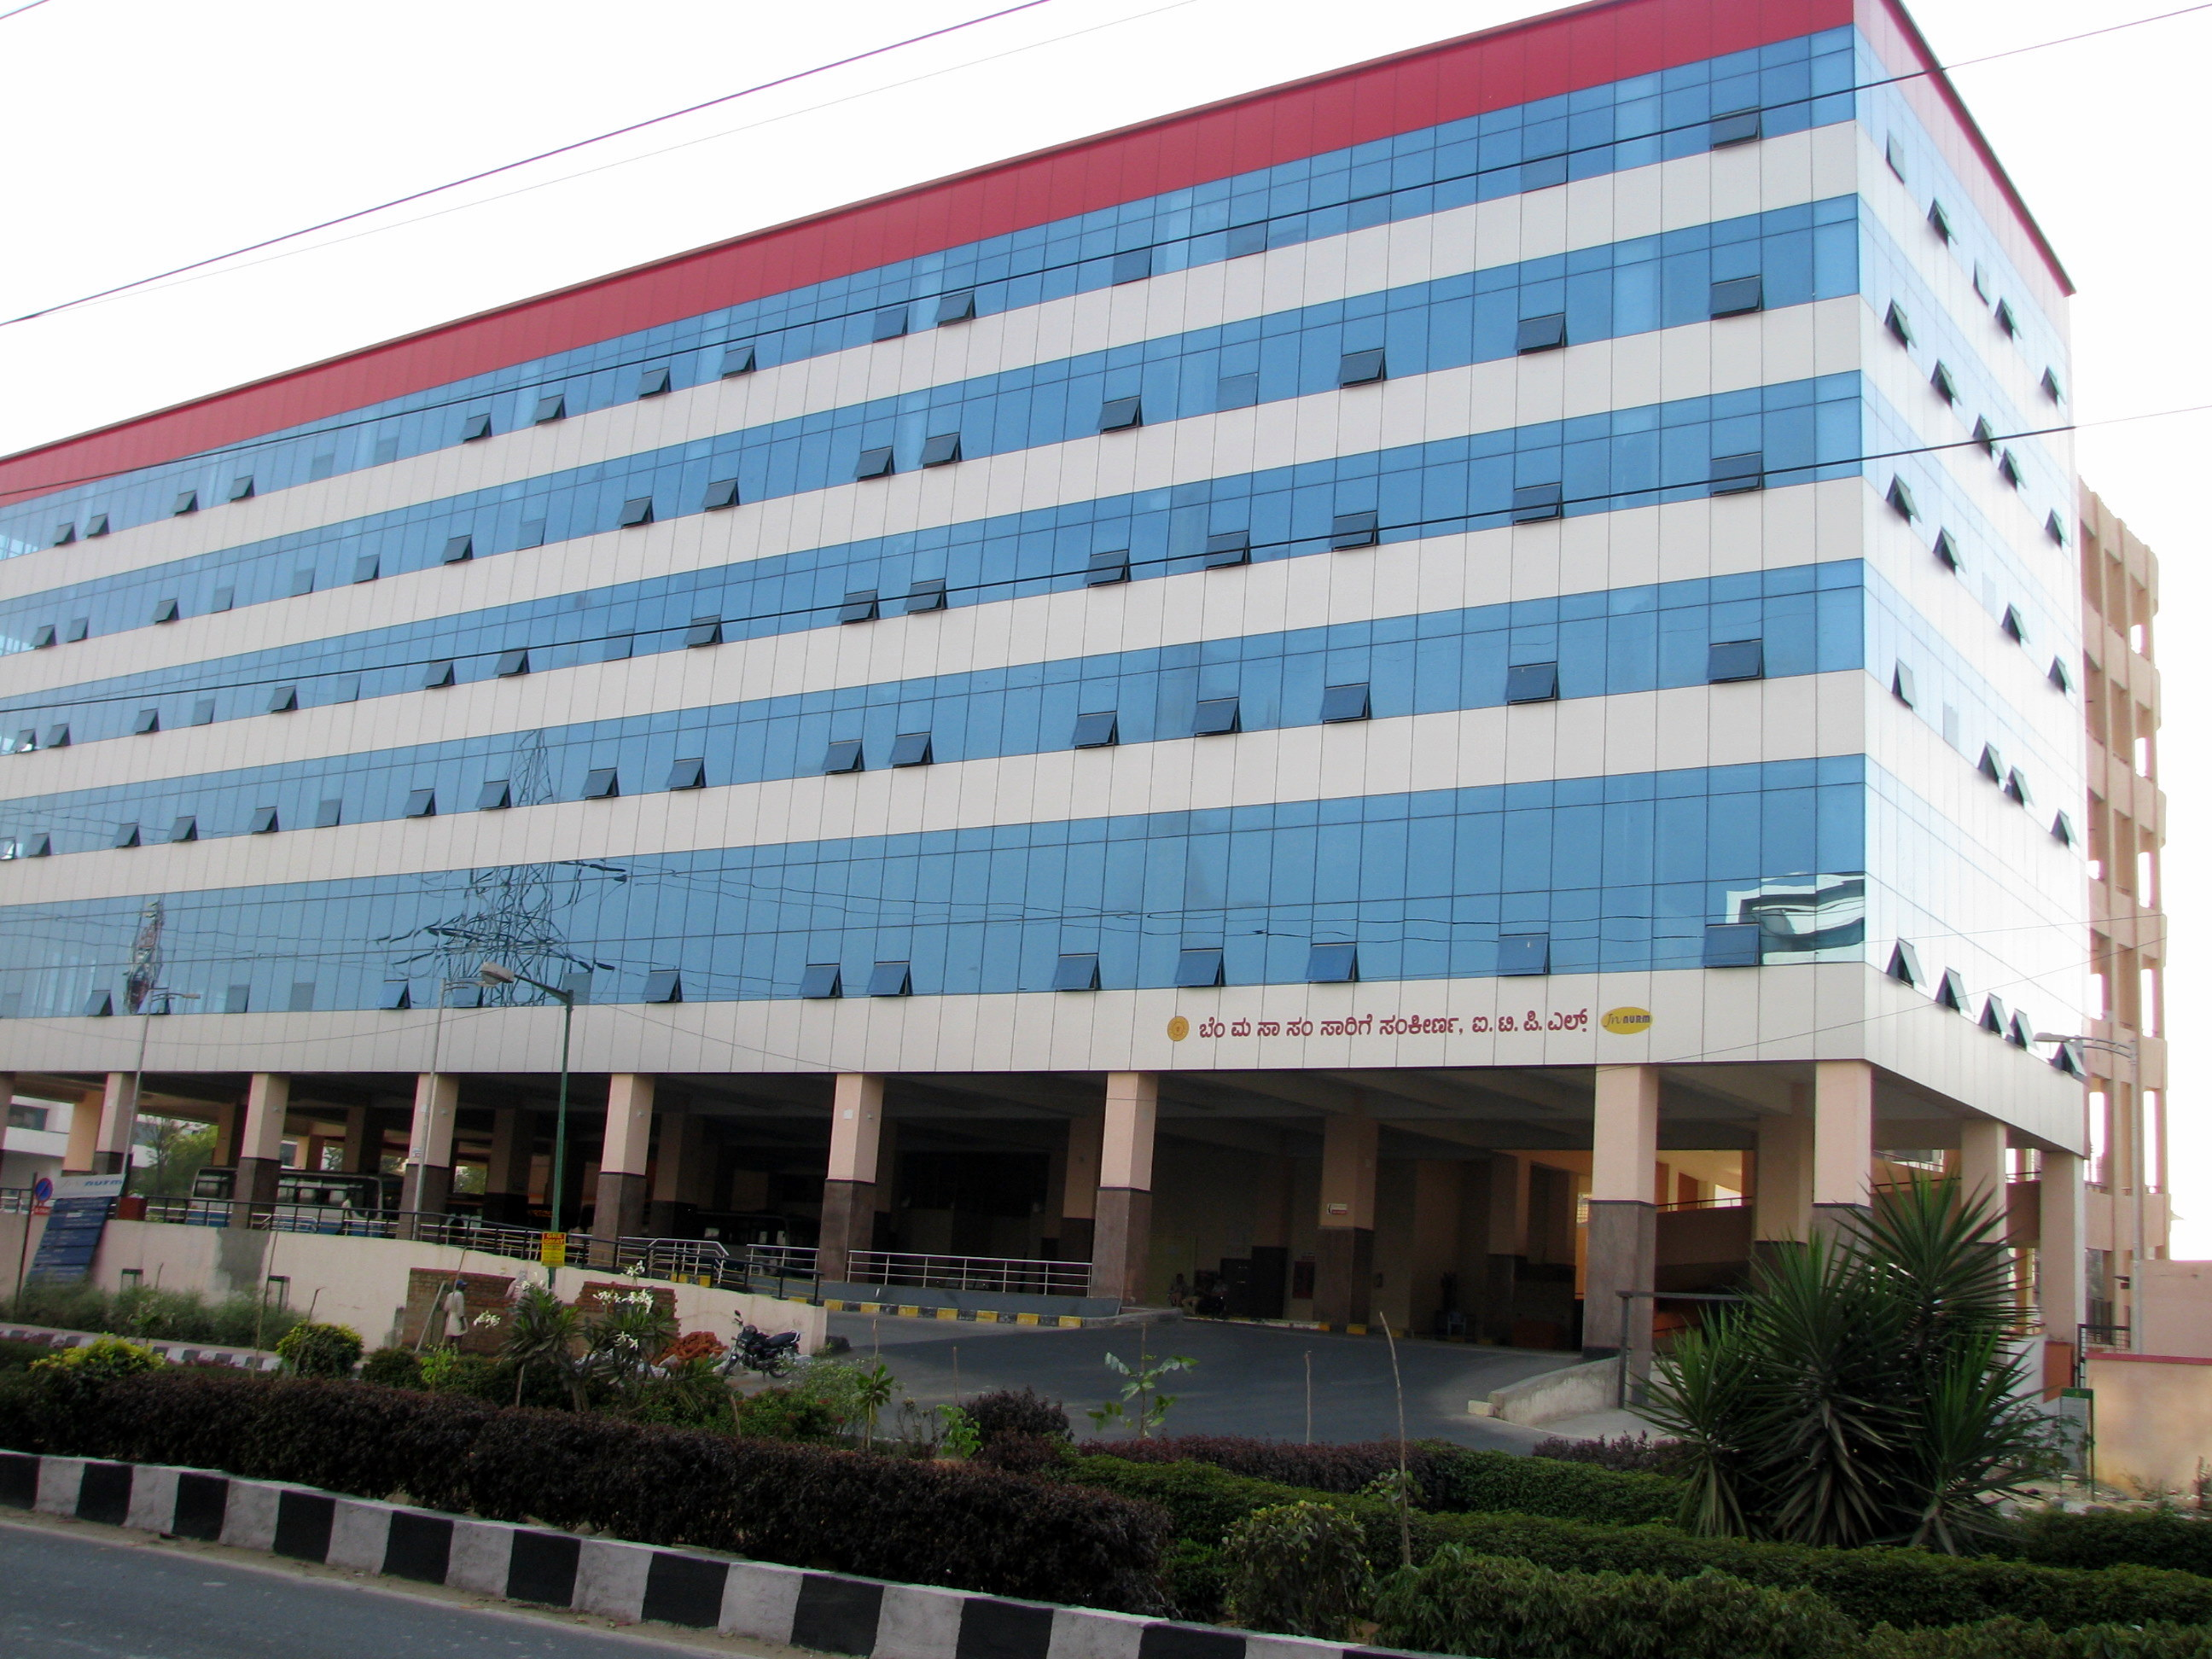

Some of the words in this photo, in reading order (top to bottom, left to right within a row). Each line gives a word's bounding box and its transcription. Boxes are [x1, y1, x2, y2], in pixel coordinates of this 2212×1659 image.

[1193, 1010, 1317, 1043] ಬೆಂಮಸಾಸಂ
[1318, 1010, 1377, 1038] ಸಾರಿಗೆ
[1374, 1008, 1460, 1039] ಸಂಕೀರ್ಣ
[1469, 1004, 1593, 1038] ಐ.ಟಿ.ಪಿ.ಎಲ್